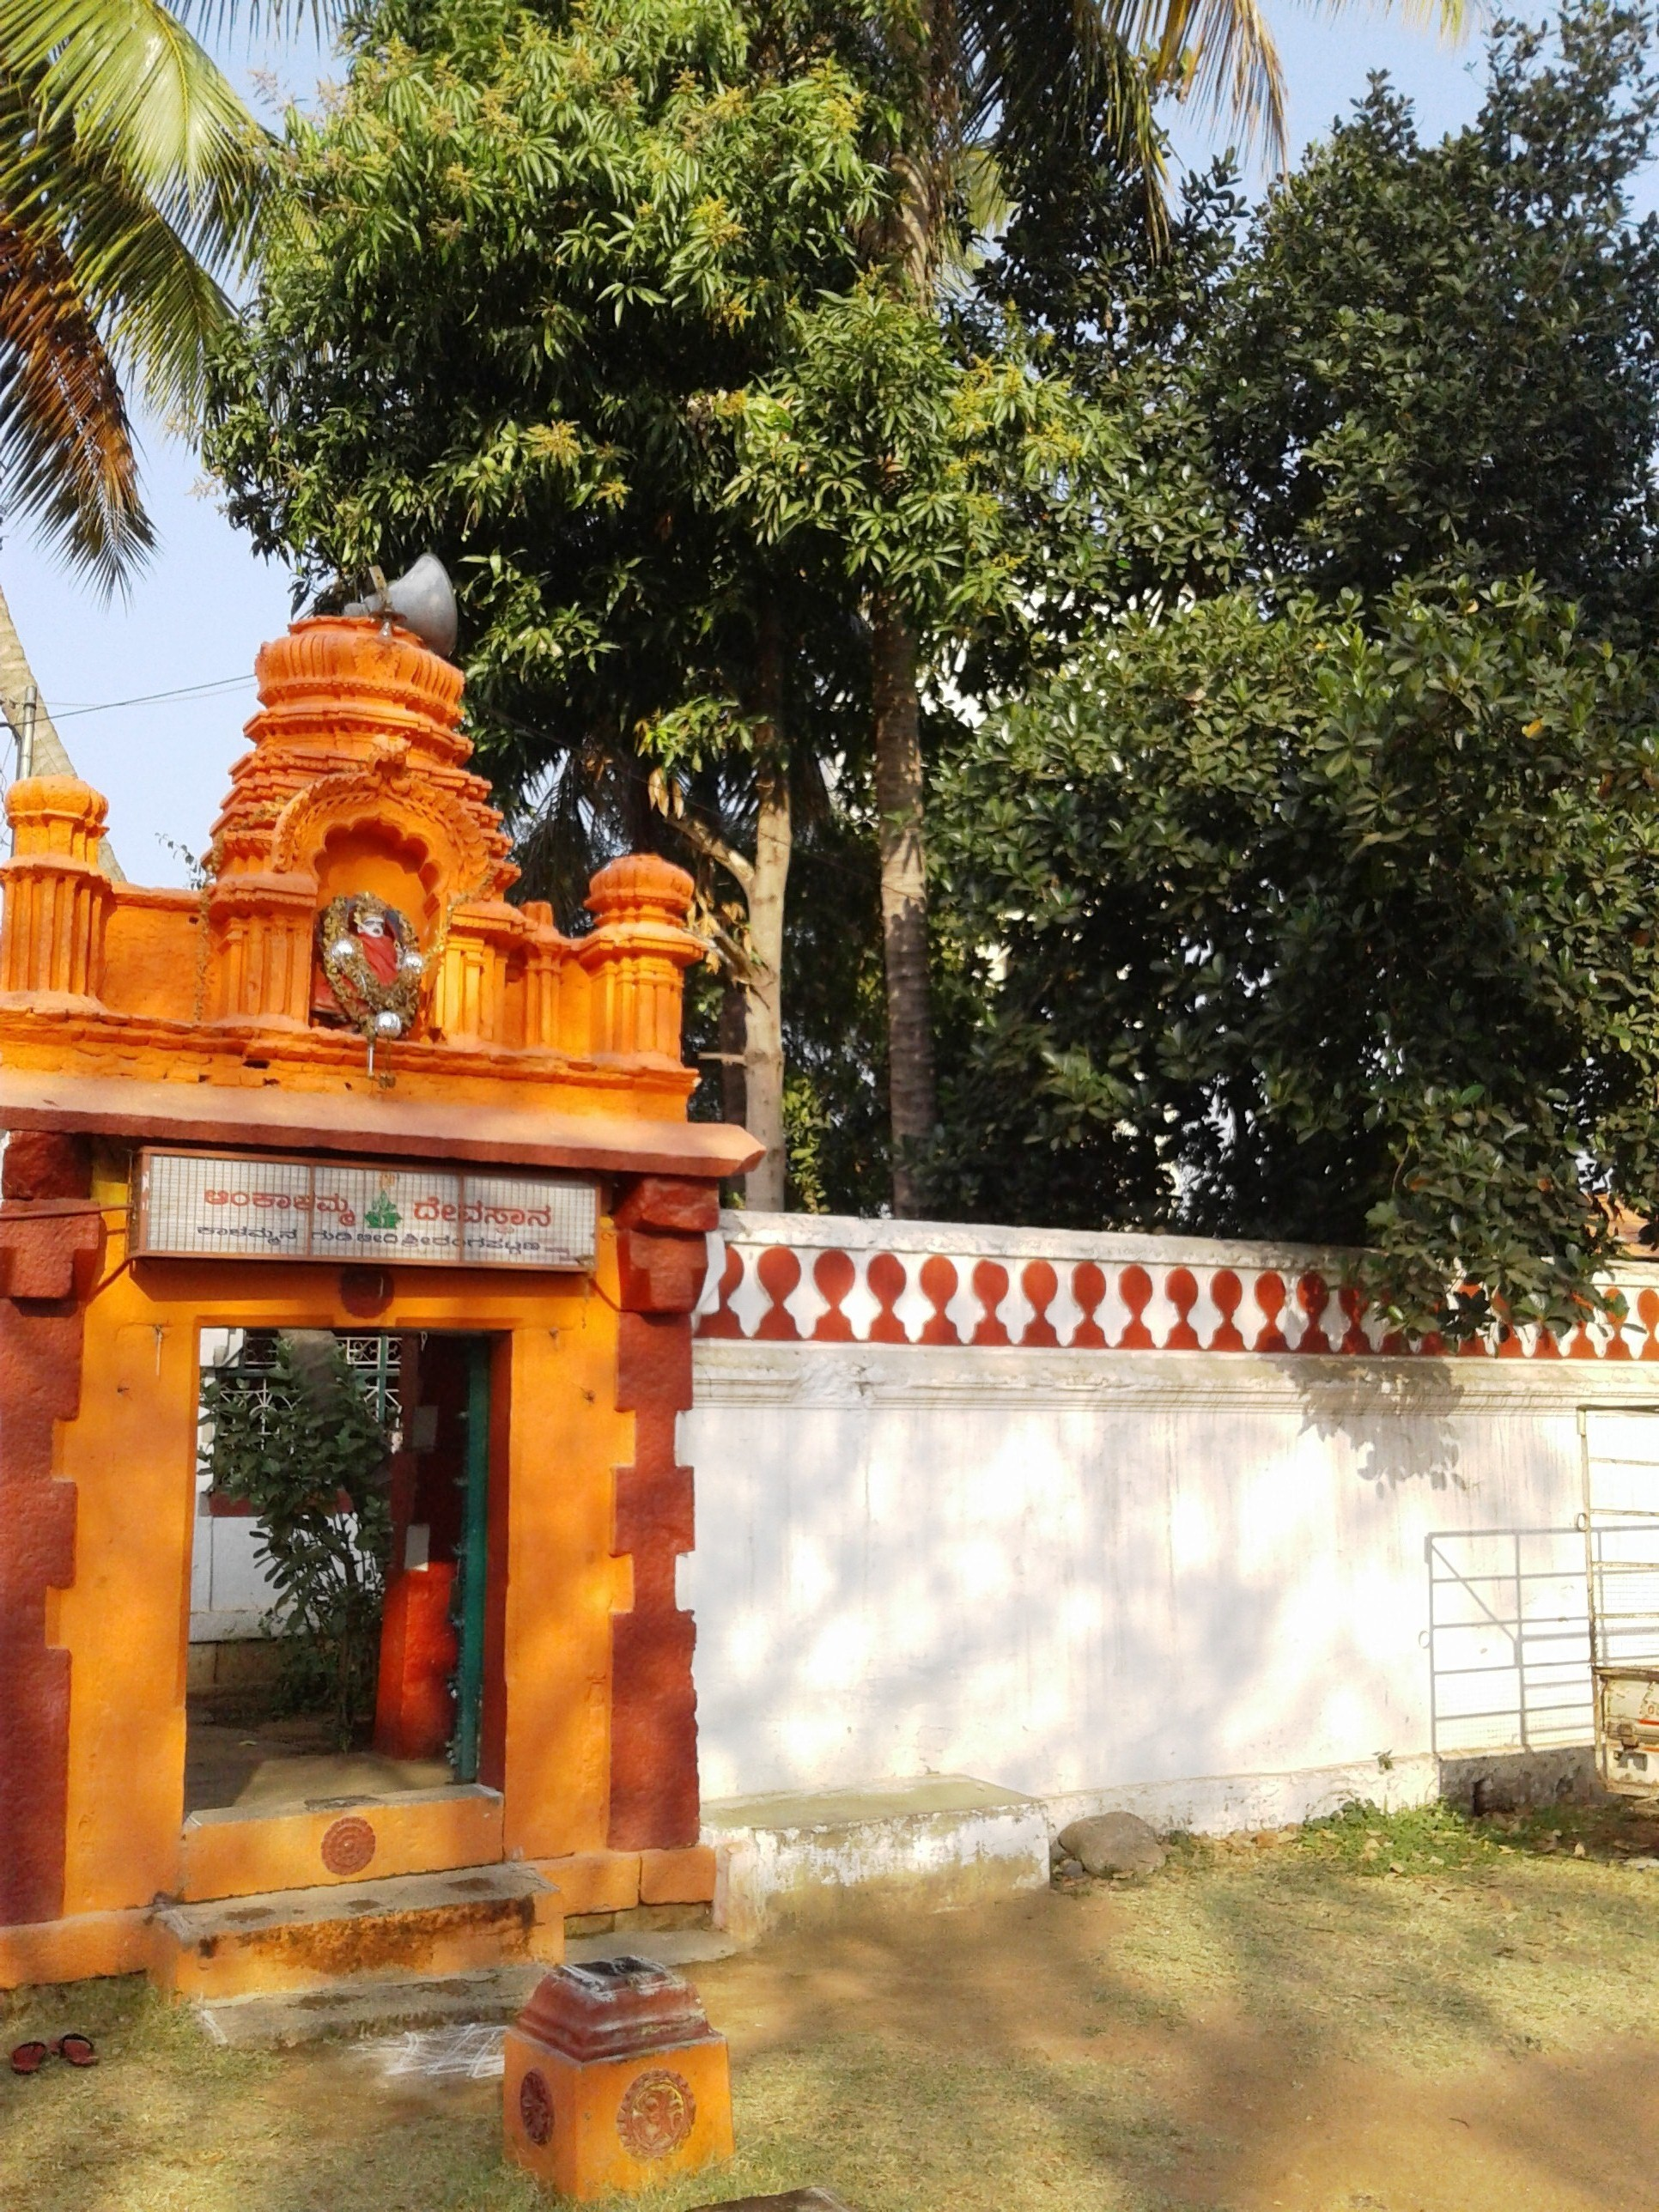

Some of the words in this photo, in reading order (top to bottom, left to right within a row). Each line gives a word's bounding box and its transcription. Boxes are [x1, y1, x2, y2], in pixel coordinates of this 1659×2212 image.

[191, 1219, 301, 1249] ಕಾಳಮ್ಮನ
[201, 1185, 360, 1231] ಅಂತಾಳಮ್ಮ
[307, 1222, 401, 1249] ಗುಡಿ ಆೕದಿ
[406, 1193, 556, 1237] ದೇವಸಾನ